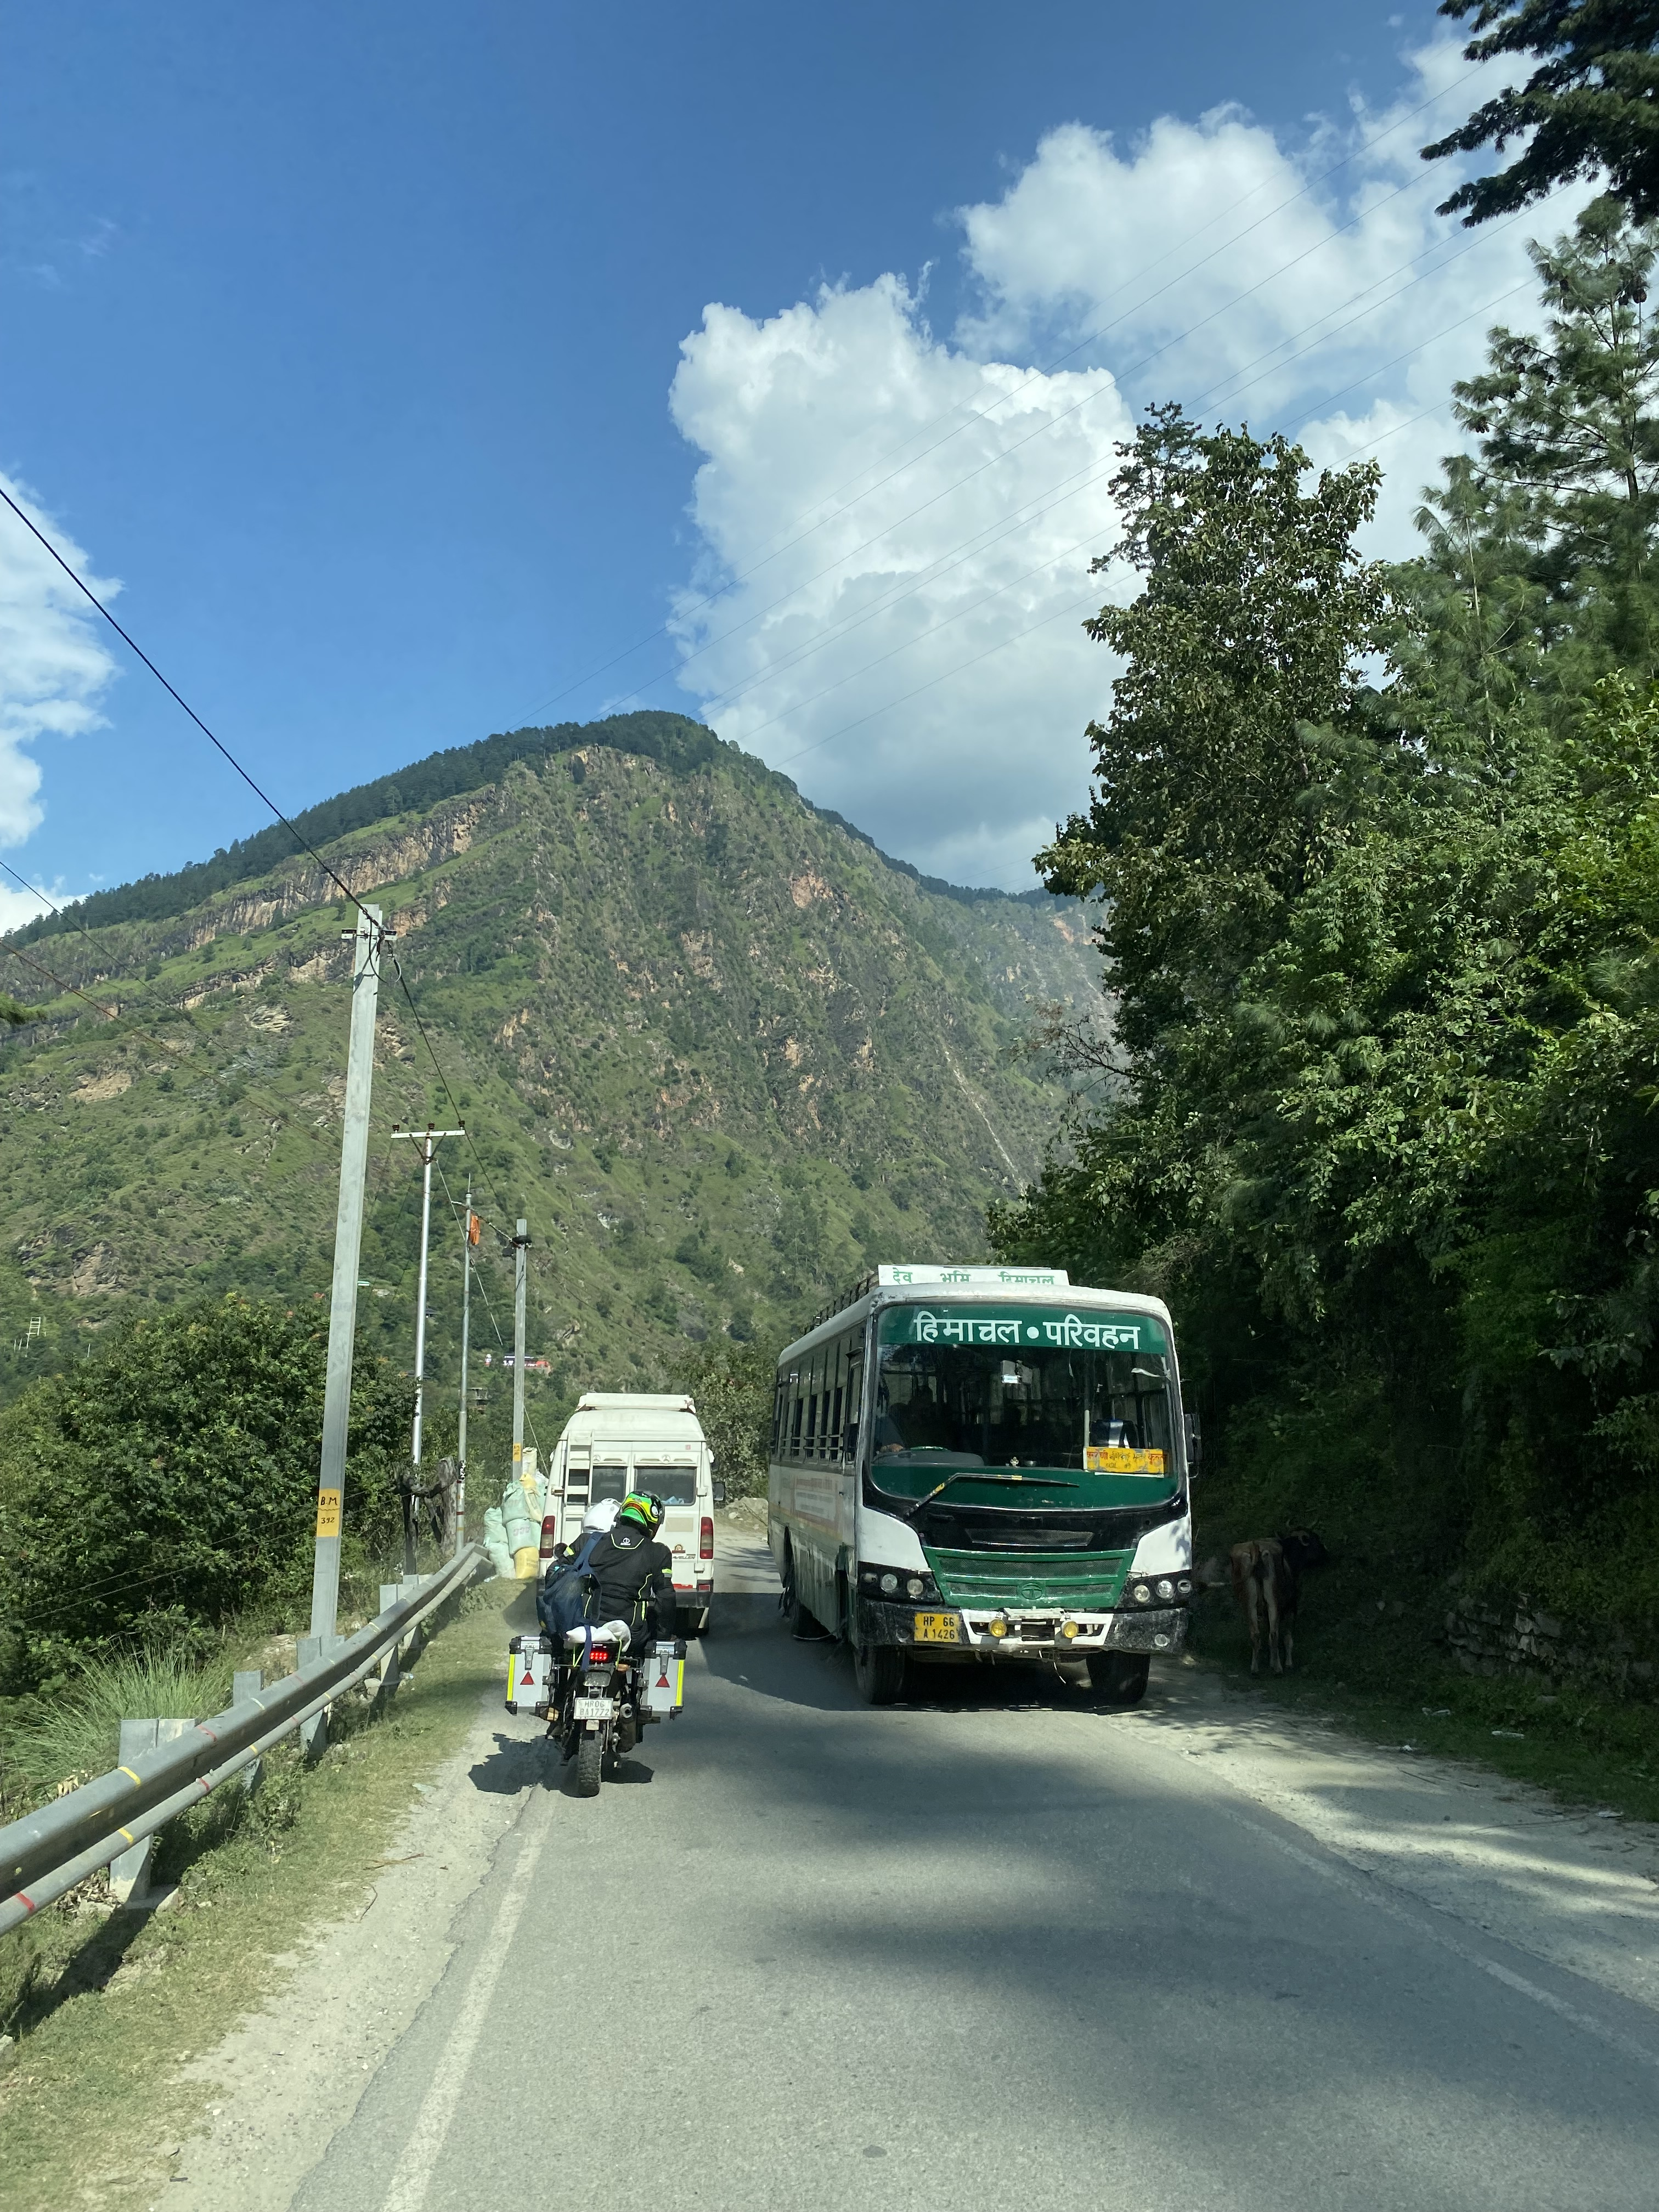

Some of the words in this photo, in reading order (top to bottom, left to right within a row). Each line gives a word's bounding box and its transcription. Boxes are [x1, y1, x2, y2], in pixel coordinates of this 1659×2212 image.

[910, 1307, 1028, 1346] हिमाचल
[1044, 1310, 1143, 1352] परिवहन